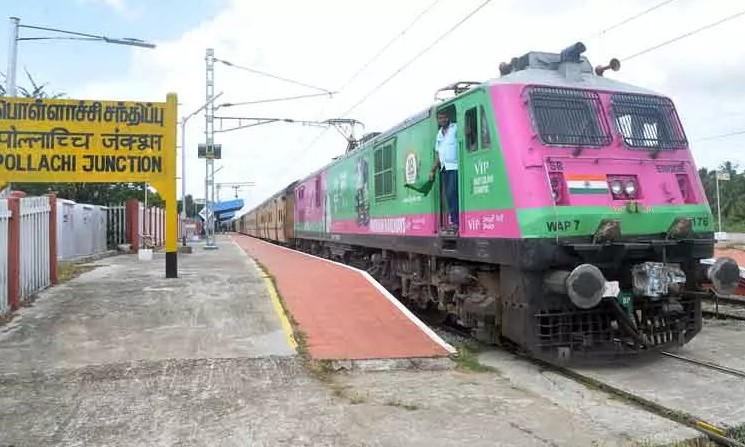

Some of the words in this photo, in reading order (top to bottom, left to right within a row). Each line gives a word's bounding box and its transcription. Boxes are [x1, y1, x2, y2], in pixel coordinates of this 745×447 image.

[0, 93, 106, 127] பொள்ளாச்சி
[99, 95, 167, 131] சந்திப்பு
[0, 118, 96, 154] पोल्लाच्चि
[99, 121, 165, 157] जंक्शन
[3, 149, 81, 177] OLLACHI
[83, 149, 165, 175] JUNCTION